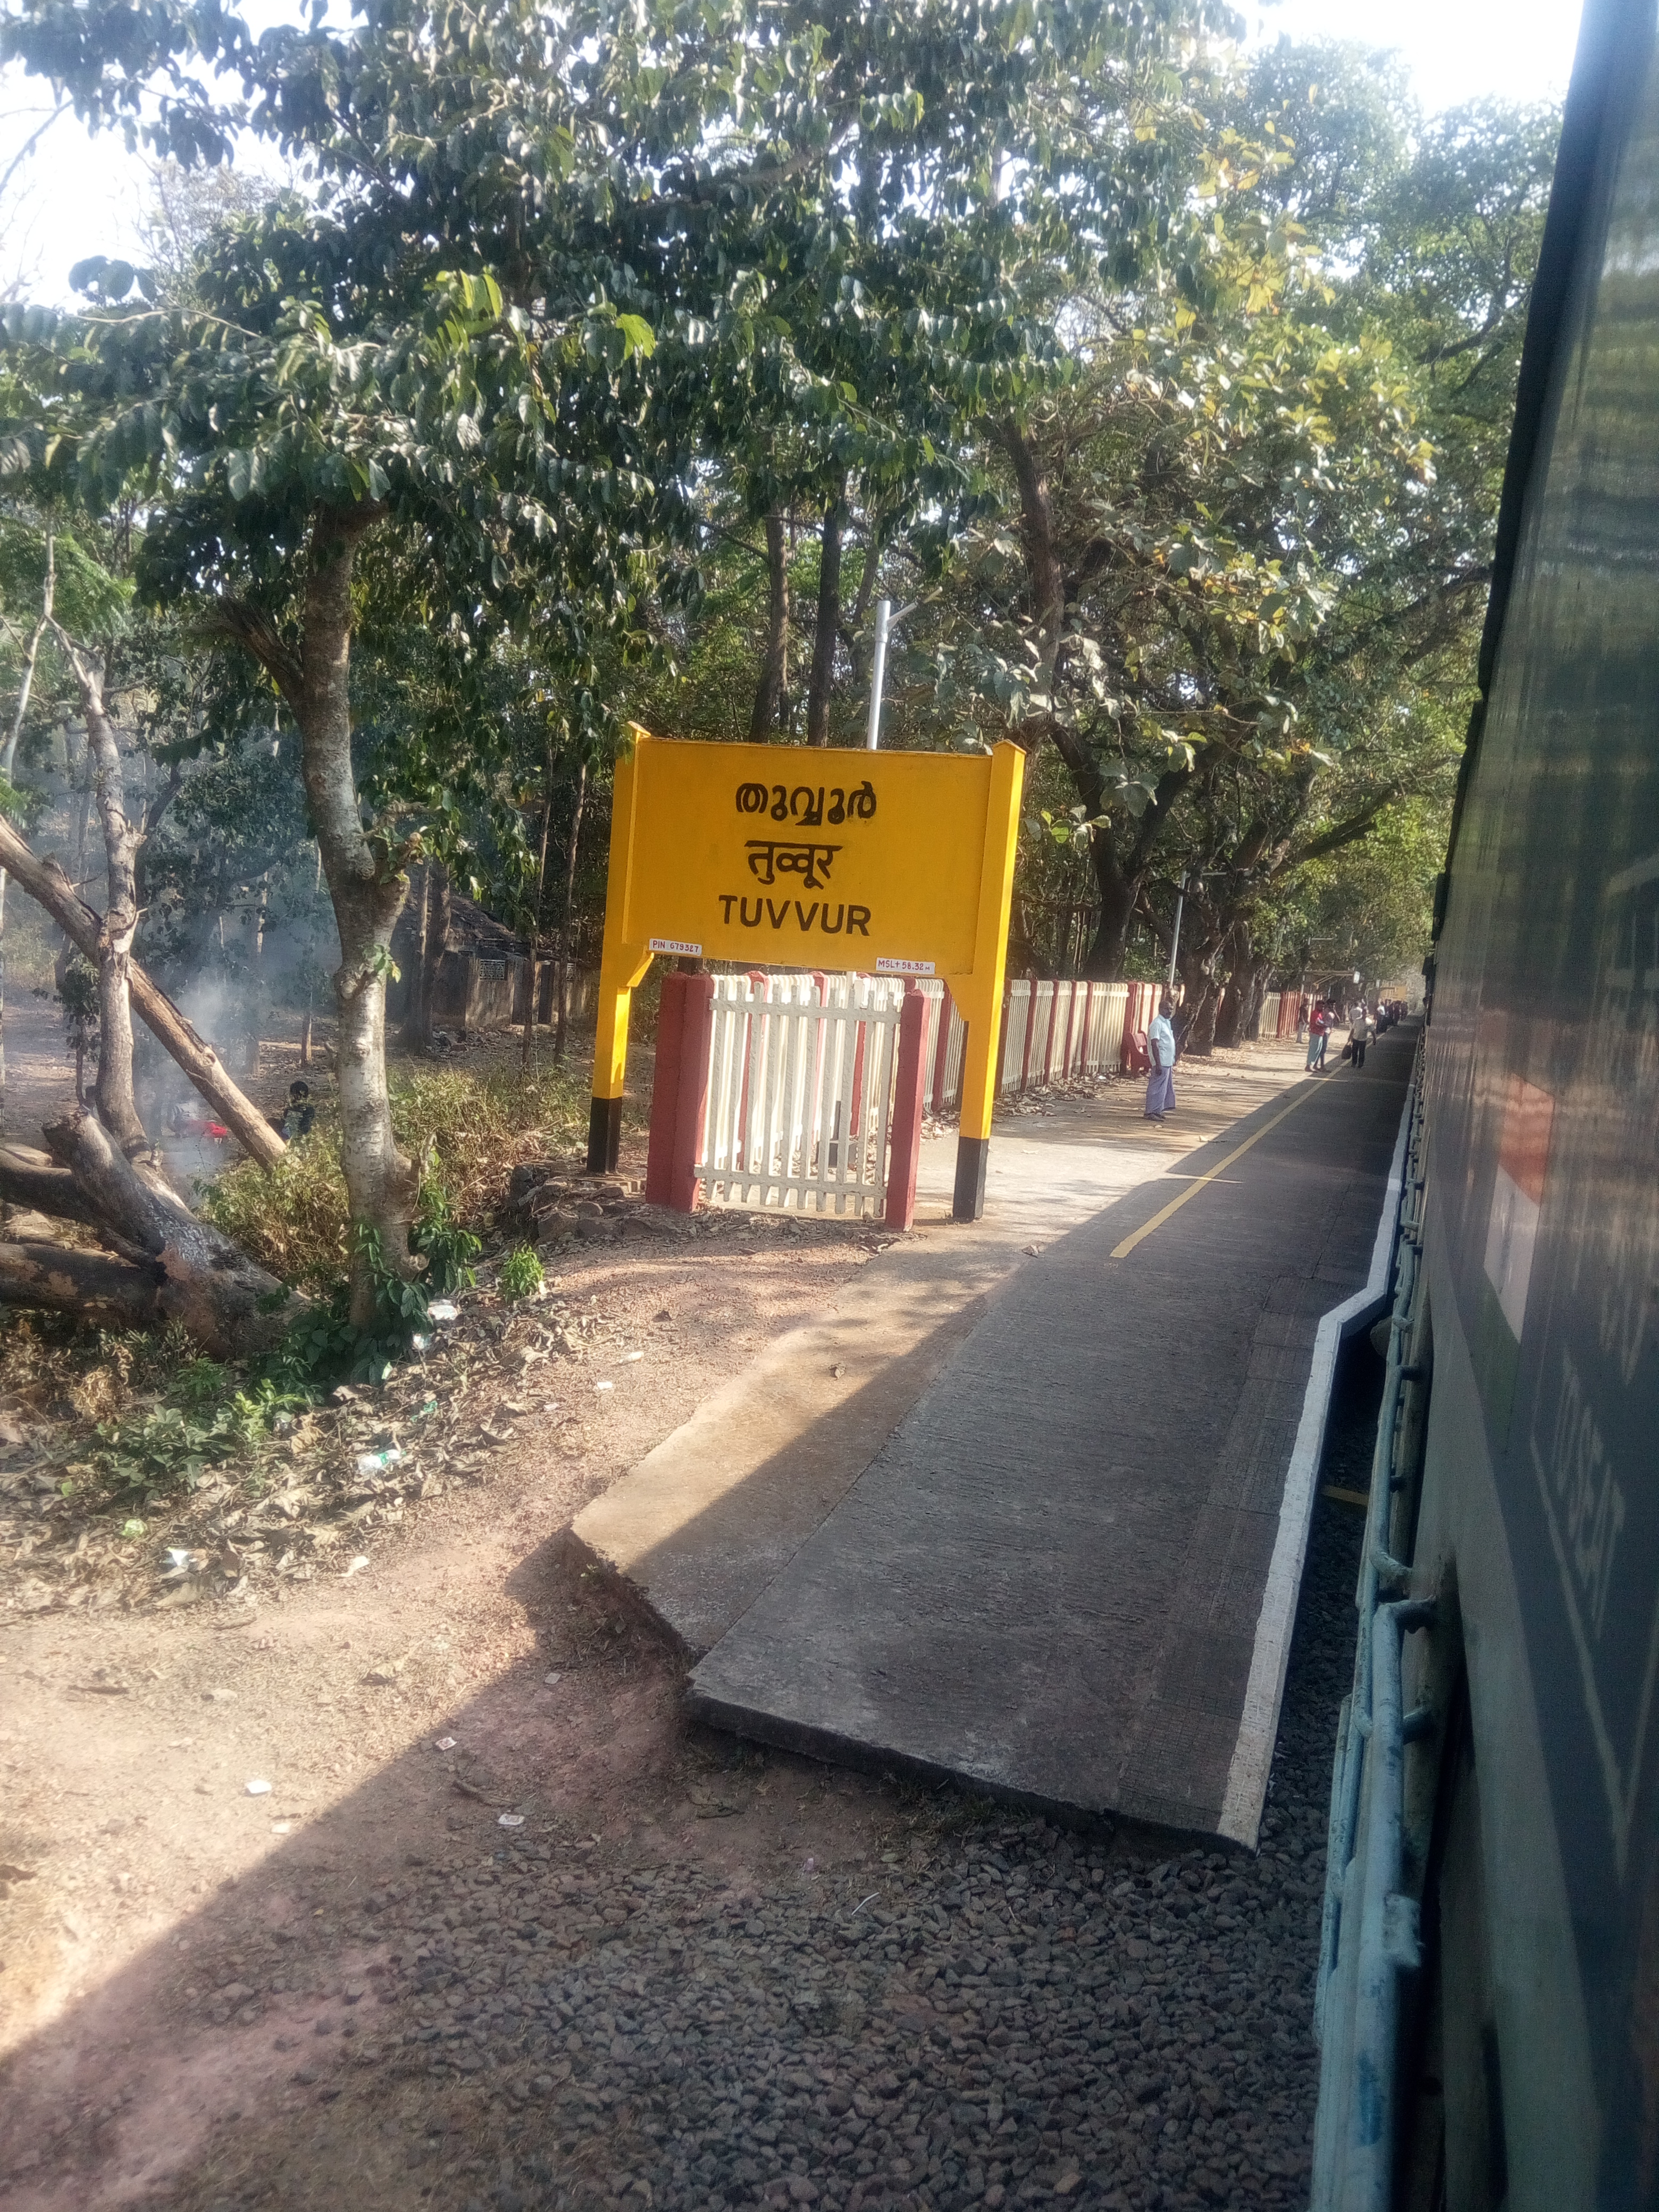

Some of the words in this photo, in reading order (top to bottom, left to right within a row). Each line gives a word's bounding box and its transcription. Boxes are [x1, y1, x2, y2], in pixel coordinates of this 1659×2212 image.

[733, 772, 877, 827] തുവ്വൂർ
[739, 836, 843, 892] तुव्वूर
[719, 892, 875, 938] TUVVUR